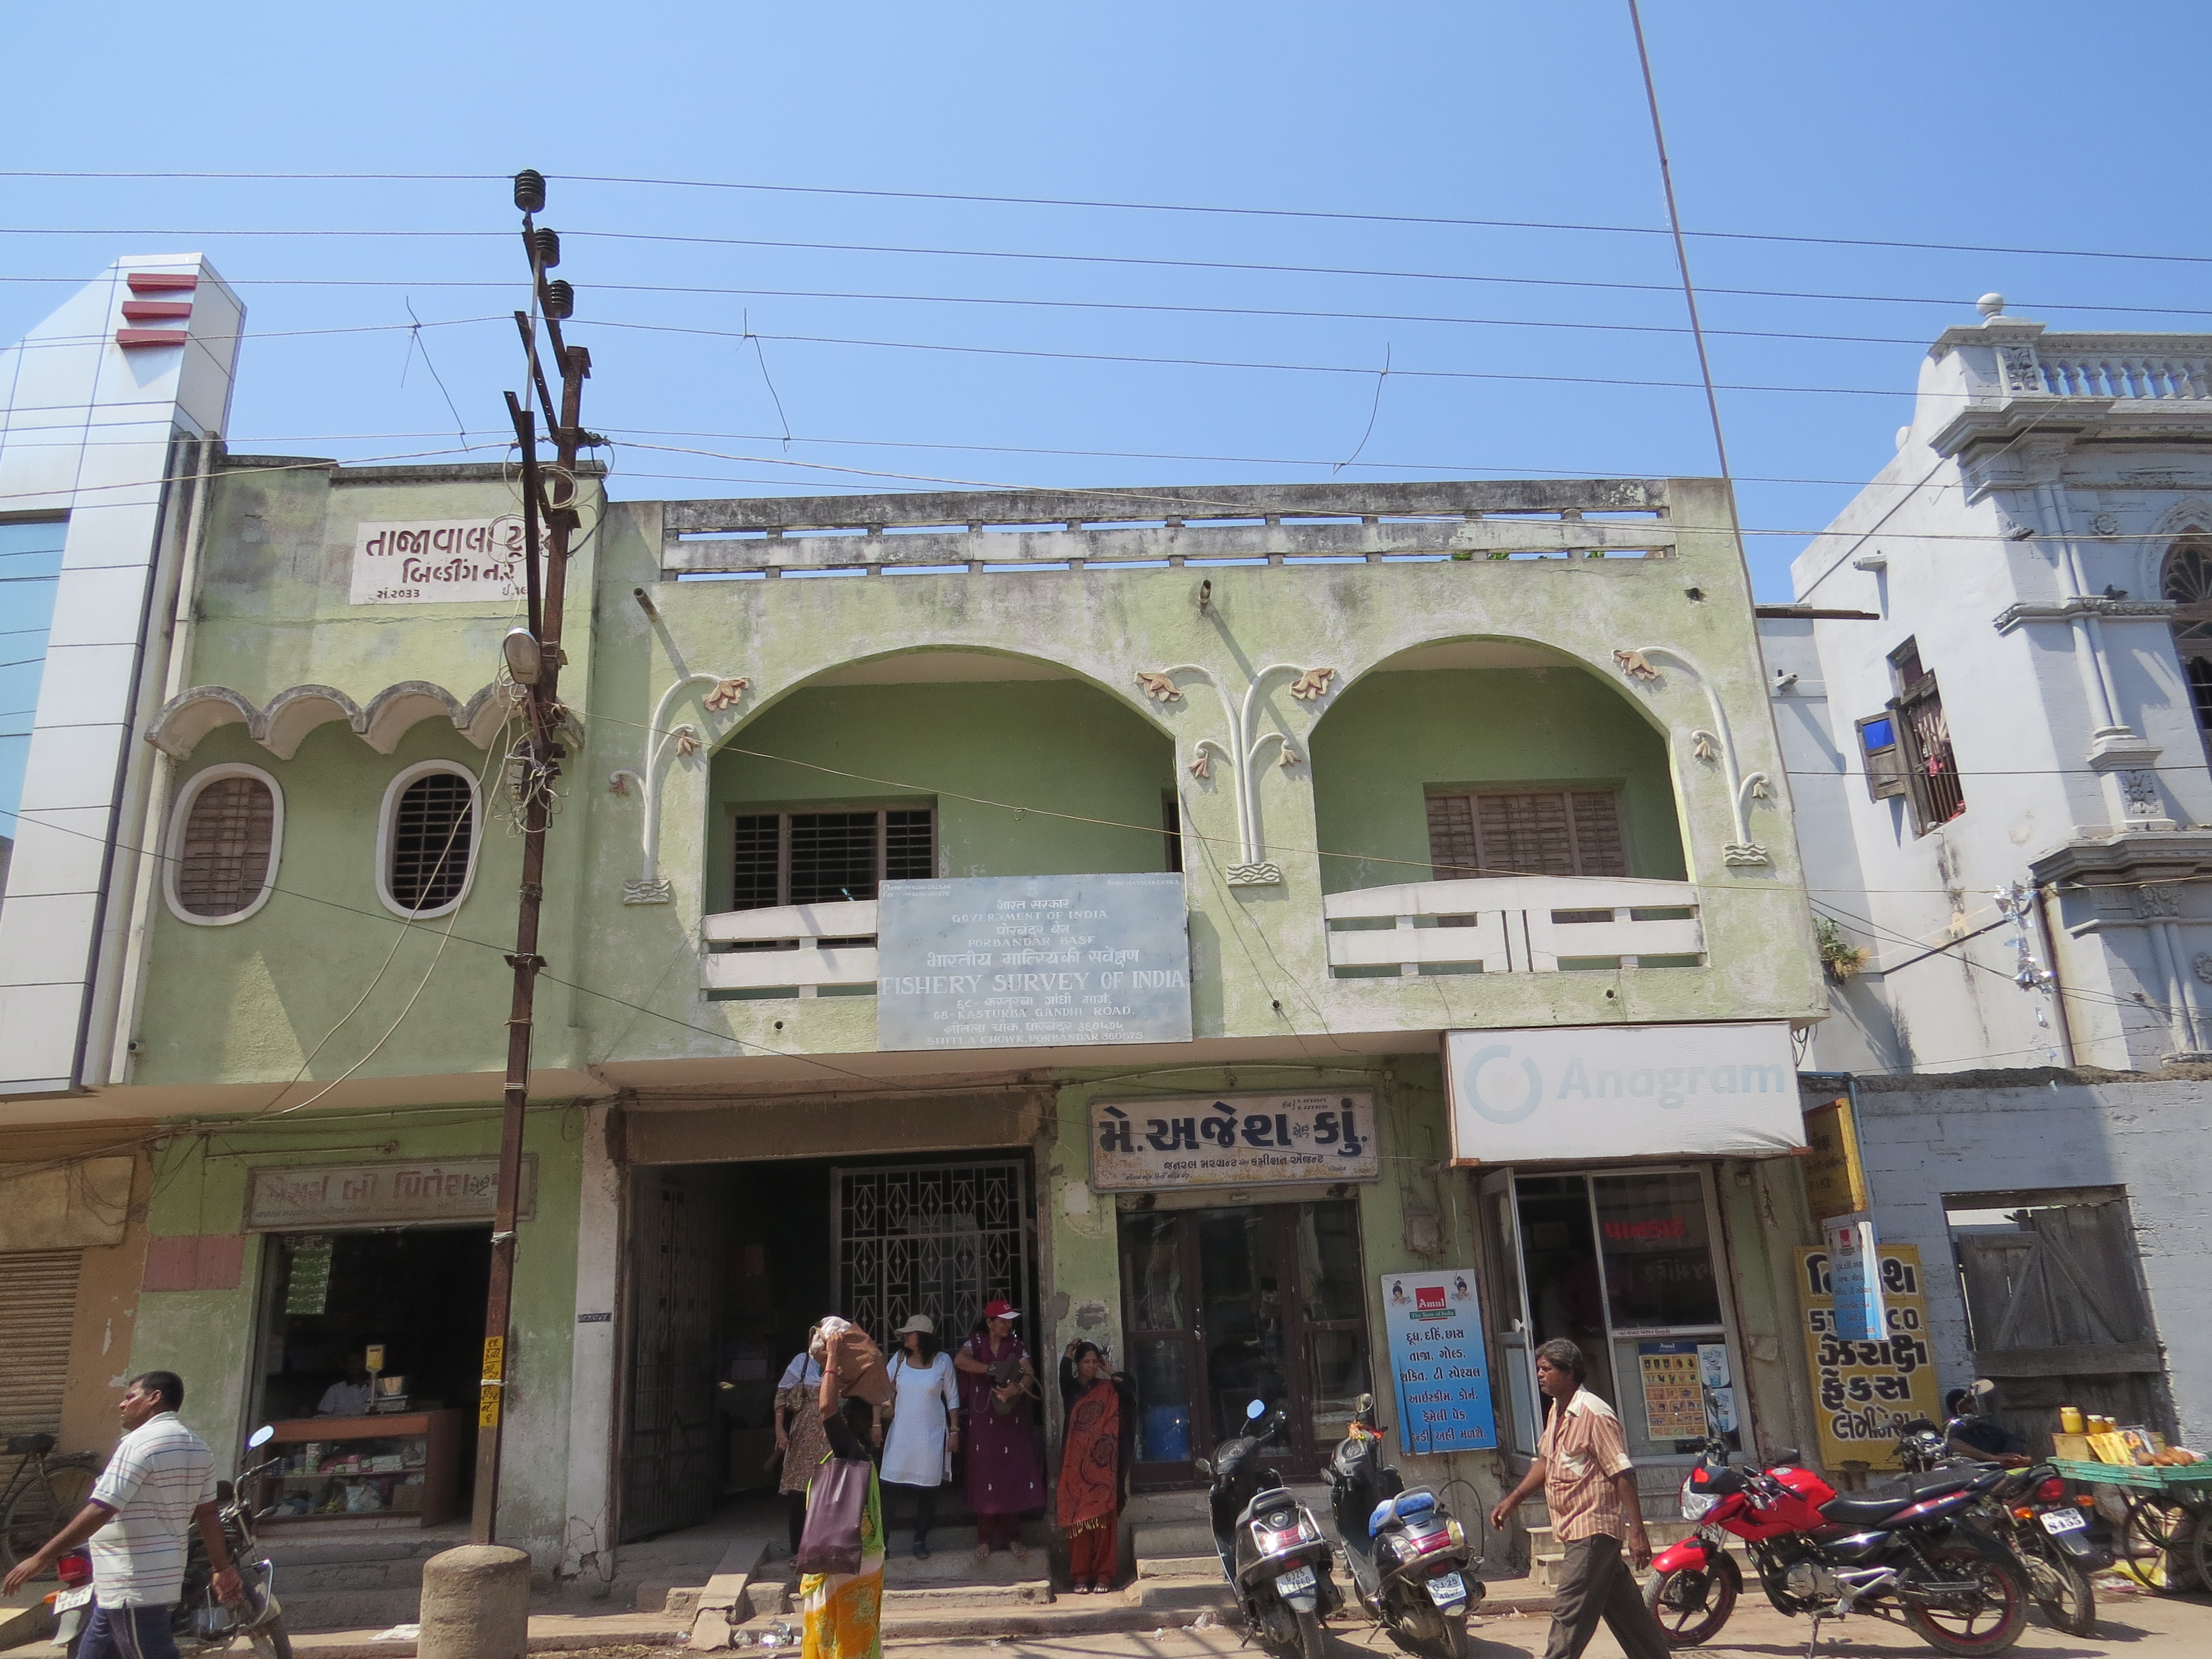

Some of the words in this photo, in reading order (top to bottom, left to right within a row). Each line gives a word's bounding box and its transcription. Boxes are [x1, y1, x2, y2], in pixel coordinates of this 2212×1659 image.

[363, 523, 504, 561] તાજાવાલા
[399, 557, 515, 591] બિલ્ડીગન,ર
[994, 898, 1028, 911] भारत
[1029, 899, 1070, 909] सरकार
[951, 911, 1042, 924] GOVERNMENT
[1046, 911, 1065, 921] OF
[1068, 909, 1109, 918] INDIA
[995, 922, 1047, 936] पोरबंदर
[1047, 920, 1071, 935] बेरा
[967, 936, 1052, 948] PORBANDAR
[1058, 935, 1098, 946] BASE
[924, 948, 994, 969] भारतीय
[999, 946, 1083, 966] मात्स्यिकी
[1087, 945, 1142, 968] सर्वेक्षण
[881, 974, 983, 996] FISHERY
[989, 971, 1092, 992] SURVEY
[1098, 971, 1125, 992] OF
[1131, 968, 1187, 990] INDIA
[930, 1010, 948, 1021] 68
[954, 997, 973, 1010] દ્દ૮
[957, 1008, 1027, 1019] KASTURBA
[981, 995, 1035, 1009] कस्तुरबा
[1044, 992, 1073, 1005] गांधी
[1034, 1007, 1083, 1017] GANDHI
[1082, 992, 1109, 1004] માર્ગ
[1091, 1005, 1132, 1016] ROAD
[941, 1019, 988, 1035] शीतला
[988, 1018, 1021, 1033] चौक
[1022, 1016, 1076, 1031] पोरबंदर
[1076, 1019, 1124, 1031] ३६०५०५
[923, 1035, 977, 1047] SHITLA
[980, 1035, 1026, 1046] CHOWK
[1027, 1032, 1101, 1044] PORBANDAR
[1100, 1030, 1144, 1041] 360575
[1554, 1053, 1787, 1112] Anagram
[1092, 1100, 1144, 1154] મે.
[1142, 1098, 1296, 1156] અજેશ
[1305, 1093, 1370, 1156] કાું.
[336, 1171, 382, 1204] બી
[390, 1164, 474, 1204] प्रितेश
[1879, 1254, 1919, 1297] શ
[1416, 1294, 1445, 1308] Amul
[1402, 1328, 1421, 1346] દૂધ
[1422, 1324, 1444, 1344] દહિ
[1444, 1327, 1467, 1341] છાસ
[1406, 1350, 1432, 1363] તાજા
[1437, 1344, 1465, 1359] ગોલ્ડ
[1814, 1329, 1931, 1373] ઝેરાક્ષ
[1396, 1366, 1427, 1384] શકિત
[1430, 1365, 1444, 1380] ટી
[1447, 1364, 1480, 1380] સ્પેશ્યલ
[1405, 1388, 1453, 1405] આઇસ્ક્રીમ
[1457, 1385, 1477, 1399] કોર્ન
[1814, 1366, 1916, 1413] ફેકસ
[1420, 1407, 1448, 1422] ફેમેલી
[1450, 1405, 1469, 1423] પેક
[1406, 1427, 1431, 1444] ન્ડી
[1432, 1426, 1455, 1441] અહી
[1458, 1421, 1486, 1439] મળશે